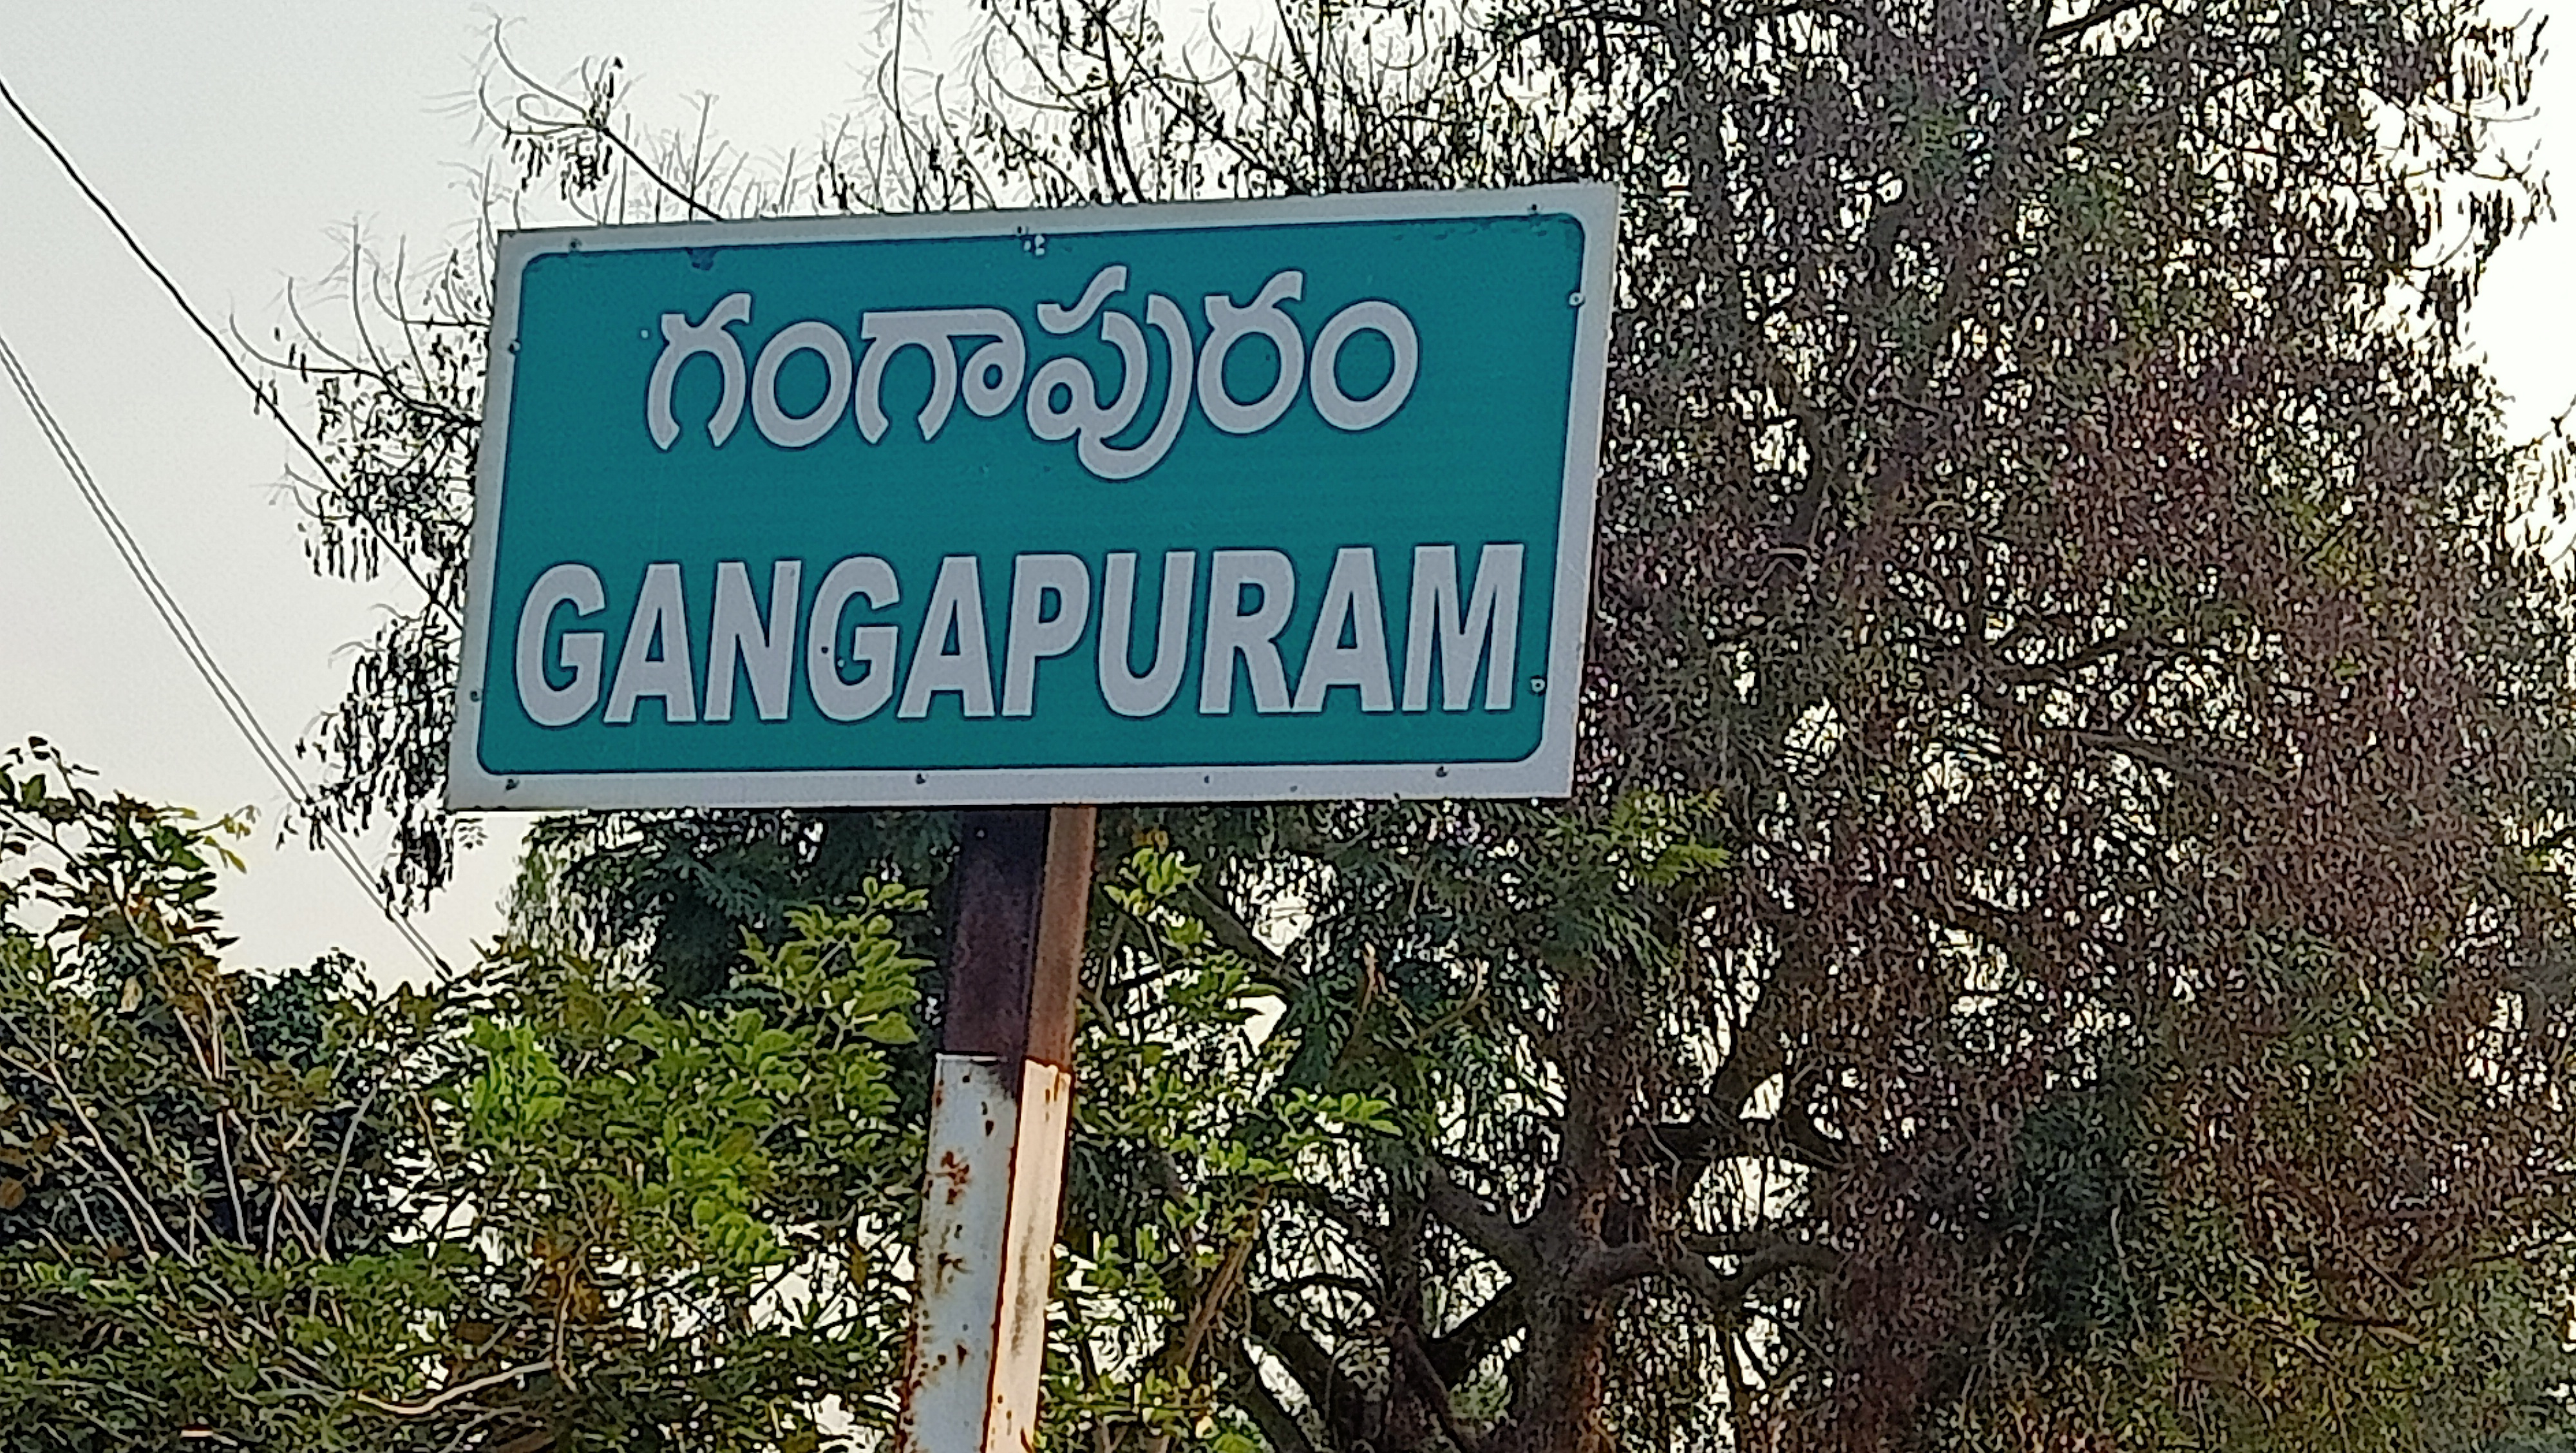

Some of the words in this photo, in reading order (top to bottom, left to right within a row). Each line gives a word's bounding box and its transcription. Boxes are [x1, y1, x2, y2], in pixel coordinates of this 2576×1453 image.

[641, 254, 1428, 493] గంగాపురం
[509, 540, 1529, 729] GANGAPURAM